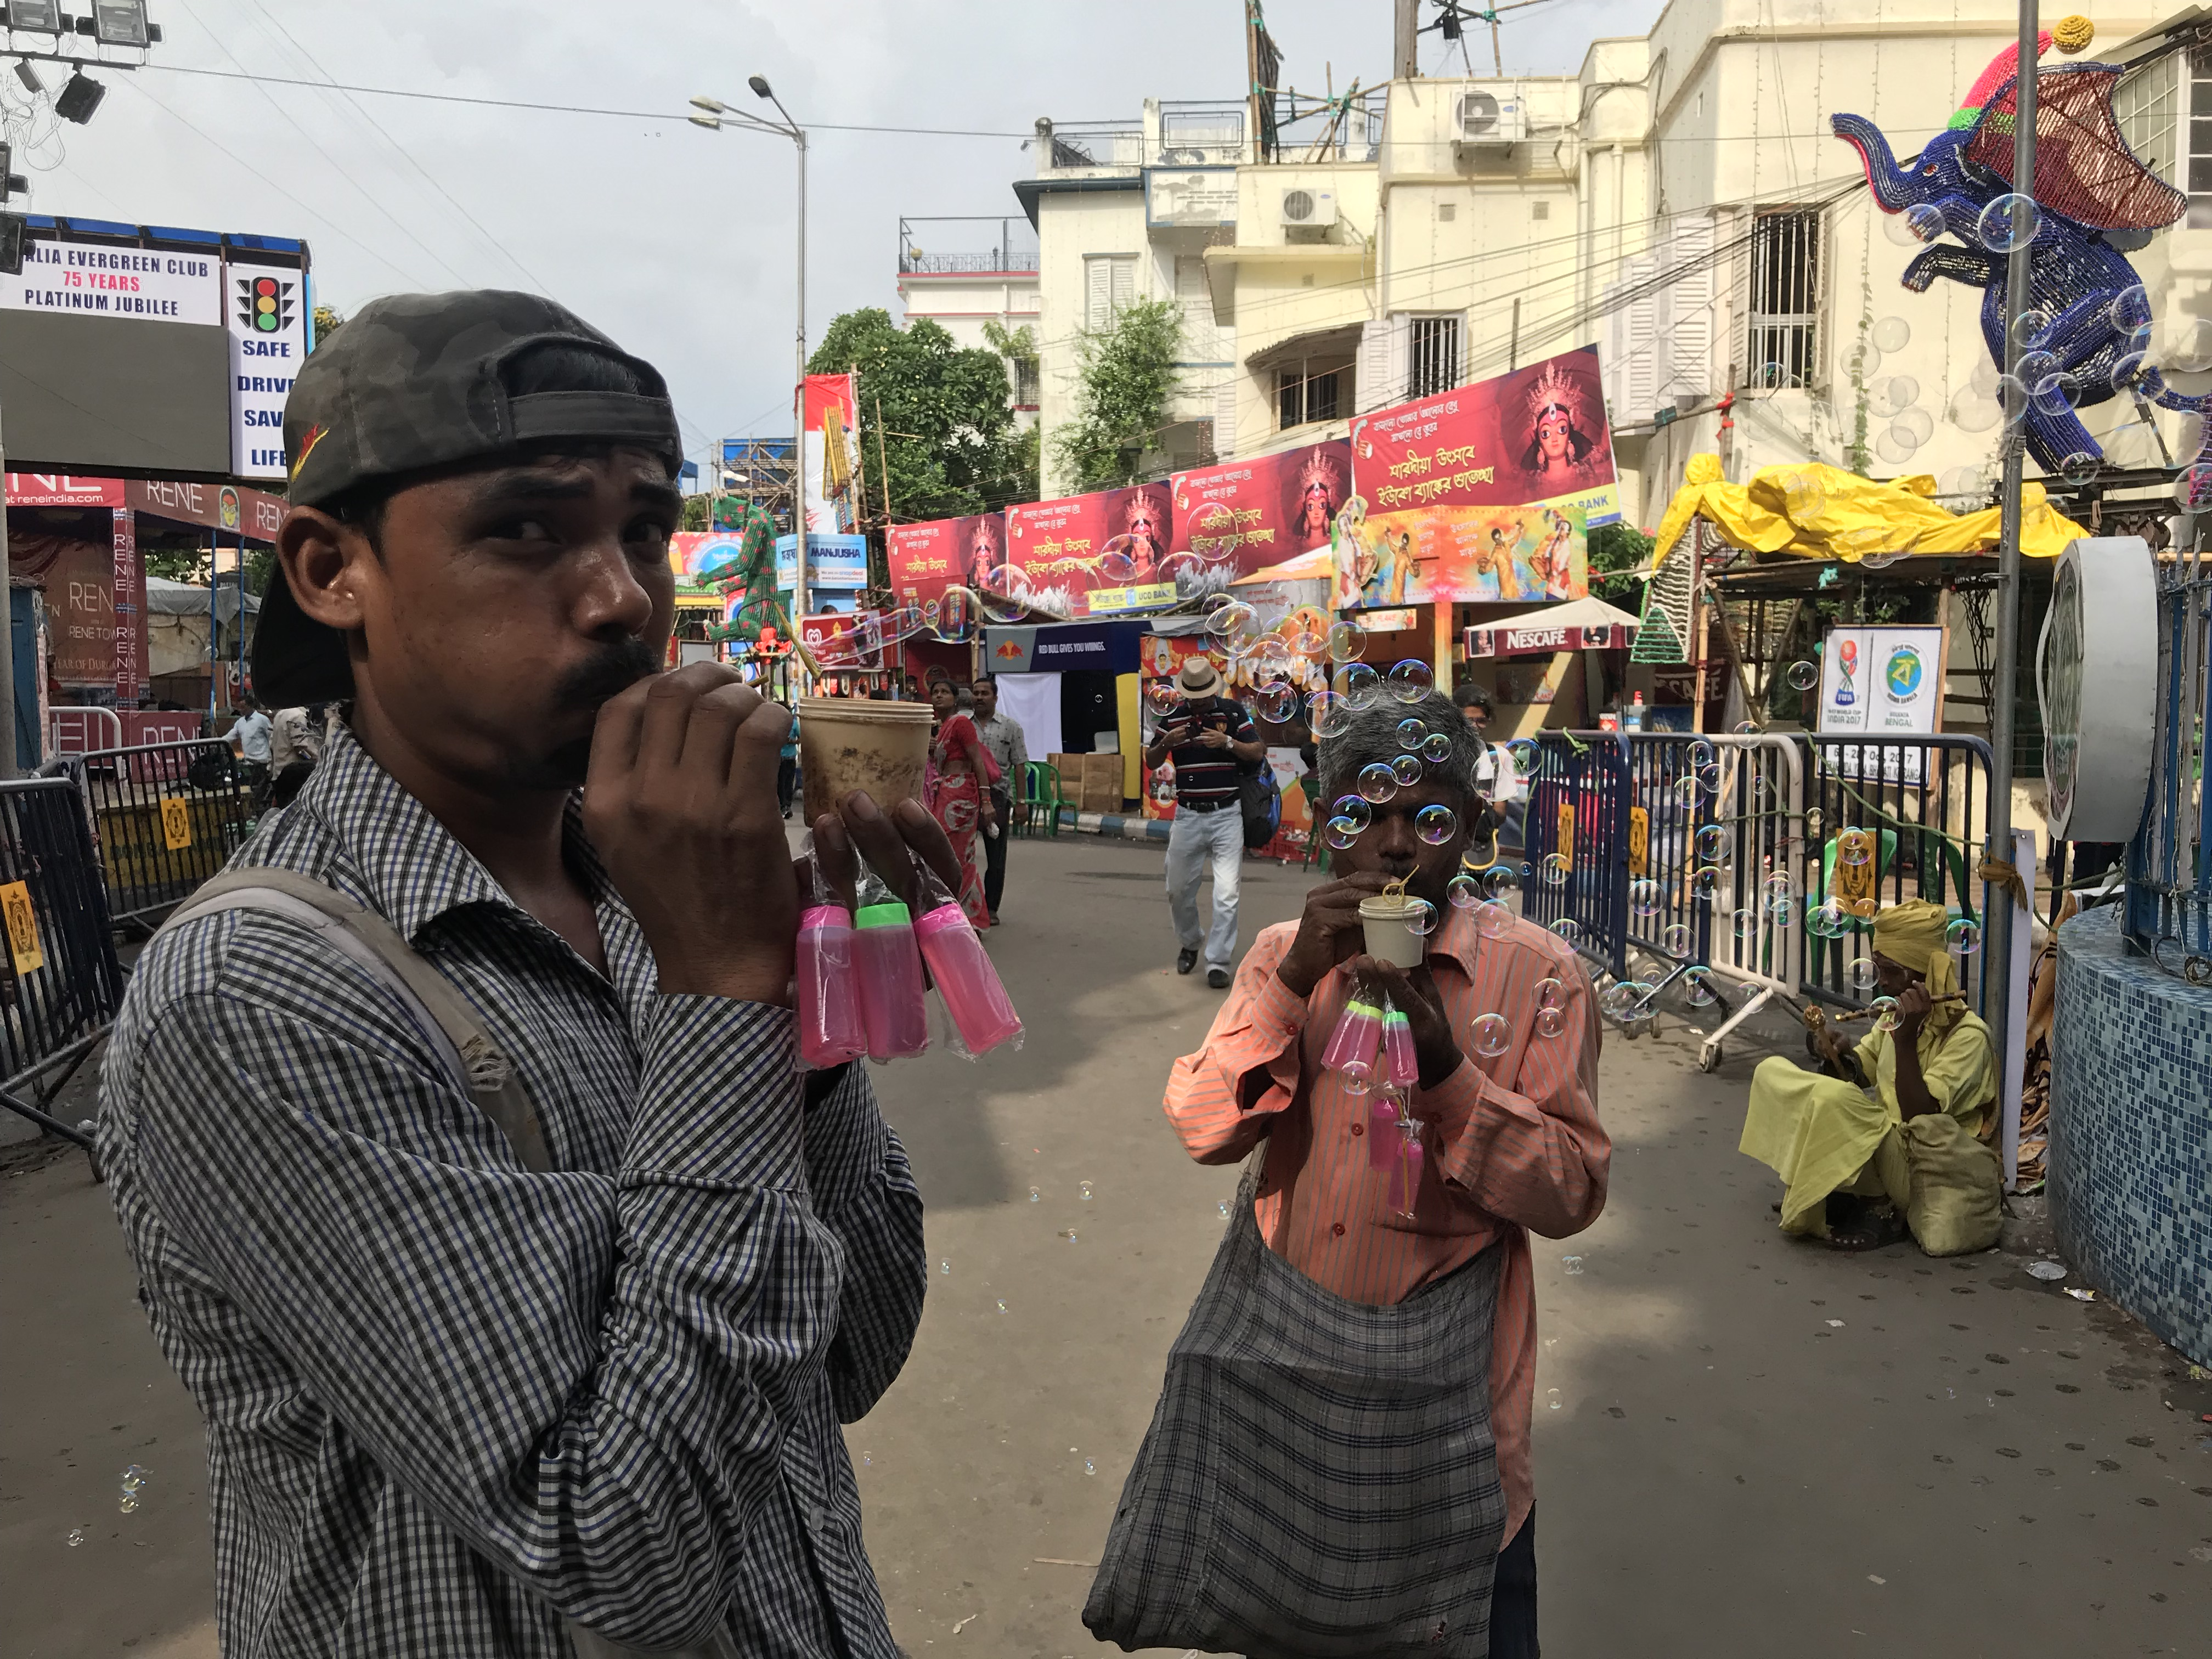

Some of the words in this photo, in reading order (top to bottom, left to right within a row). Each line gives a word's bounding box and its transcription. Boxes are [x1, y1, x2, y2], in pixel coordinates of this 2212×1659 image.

[23, 242, 64, 269] ALIA
[58, 268, 83, 289] 75
[65, 245, 163, 275] EVERGREEN
[87, 269, 143, 298] YEARS
[164, 255, 212, 279] CLUB
[22, 286, 110, 313] PLATINUM
[112, 295, 182, 320] JUBILEE
[239, 335, 291, 360] SAFE
[234, 374, 296, 394] DRIVE
[1369, 414, 1398, 434] বাজানো
[1386, 426, 1419, 445] মাখলো
[1393, 409, 1423, 431] তোমার
[1411, 420, 1443, 442] ৫ ভুৰৰ
[1415, 400, 1447, 424] আলোর
[1217, 464, 1257, 483] মাখলো রে
[1385, 444, 1436, 480] শারদীয়া
[1430, 443, 1480, 471] উৎসবে
[142, 475, 206, 518] RENE
[1373, 481, 1416, 511] ইউকো
[1410, 476, 1457, 508] ব্যাঙ্কের
[1046, 512, 1069, 535] রে ভুবন
[1050, 501, 1084, 518] আলোর বেবু
[1194, 502, 1235, 536] শারদীয়া
[1228, 504, 1267, 529] ডিসেবে
[807, 543, 863, 562] MANJUSHA
[903, 552, 932, 577] মারদীয়া
[926, 552, 950, 575] উৎসবে
[1019, 558, 1052, 580] ইউকো
[1030, 533, 1065, 560] শারদীয়া
[1047, 557, 1080, 579] ব্যাঙ্কের
[1058, 534, 1095, 558] উৎসবে
[1184, 532, 1222, 557] ইউকো
[1457, 544, 1483, 562] মাতুন
[1035, 639, 1060, 657] REDBULL
[1056, 639, 1075, 654] LGIVESY
[1070, 641, 1087, 656] YOU
[1082, 640, 1109, 653] WINNINGS.
[1505, 624, 1570, 652] NESCAFE.